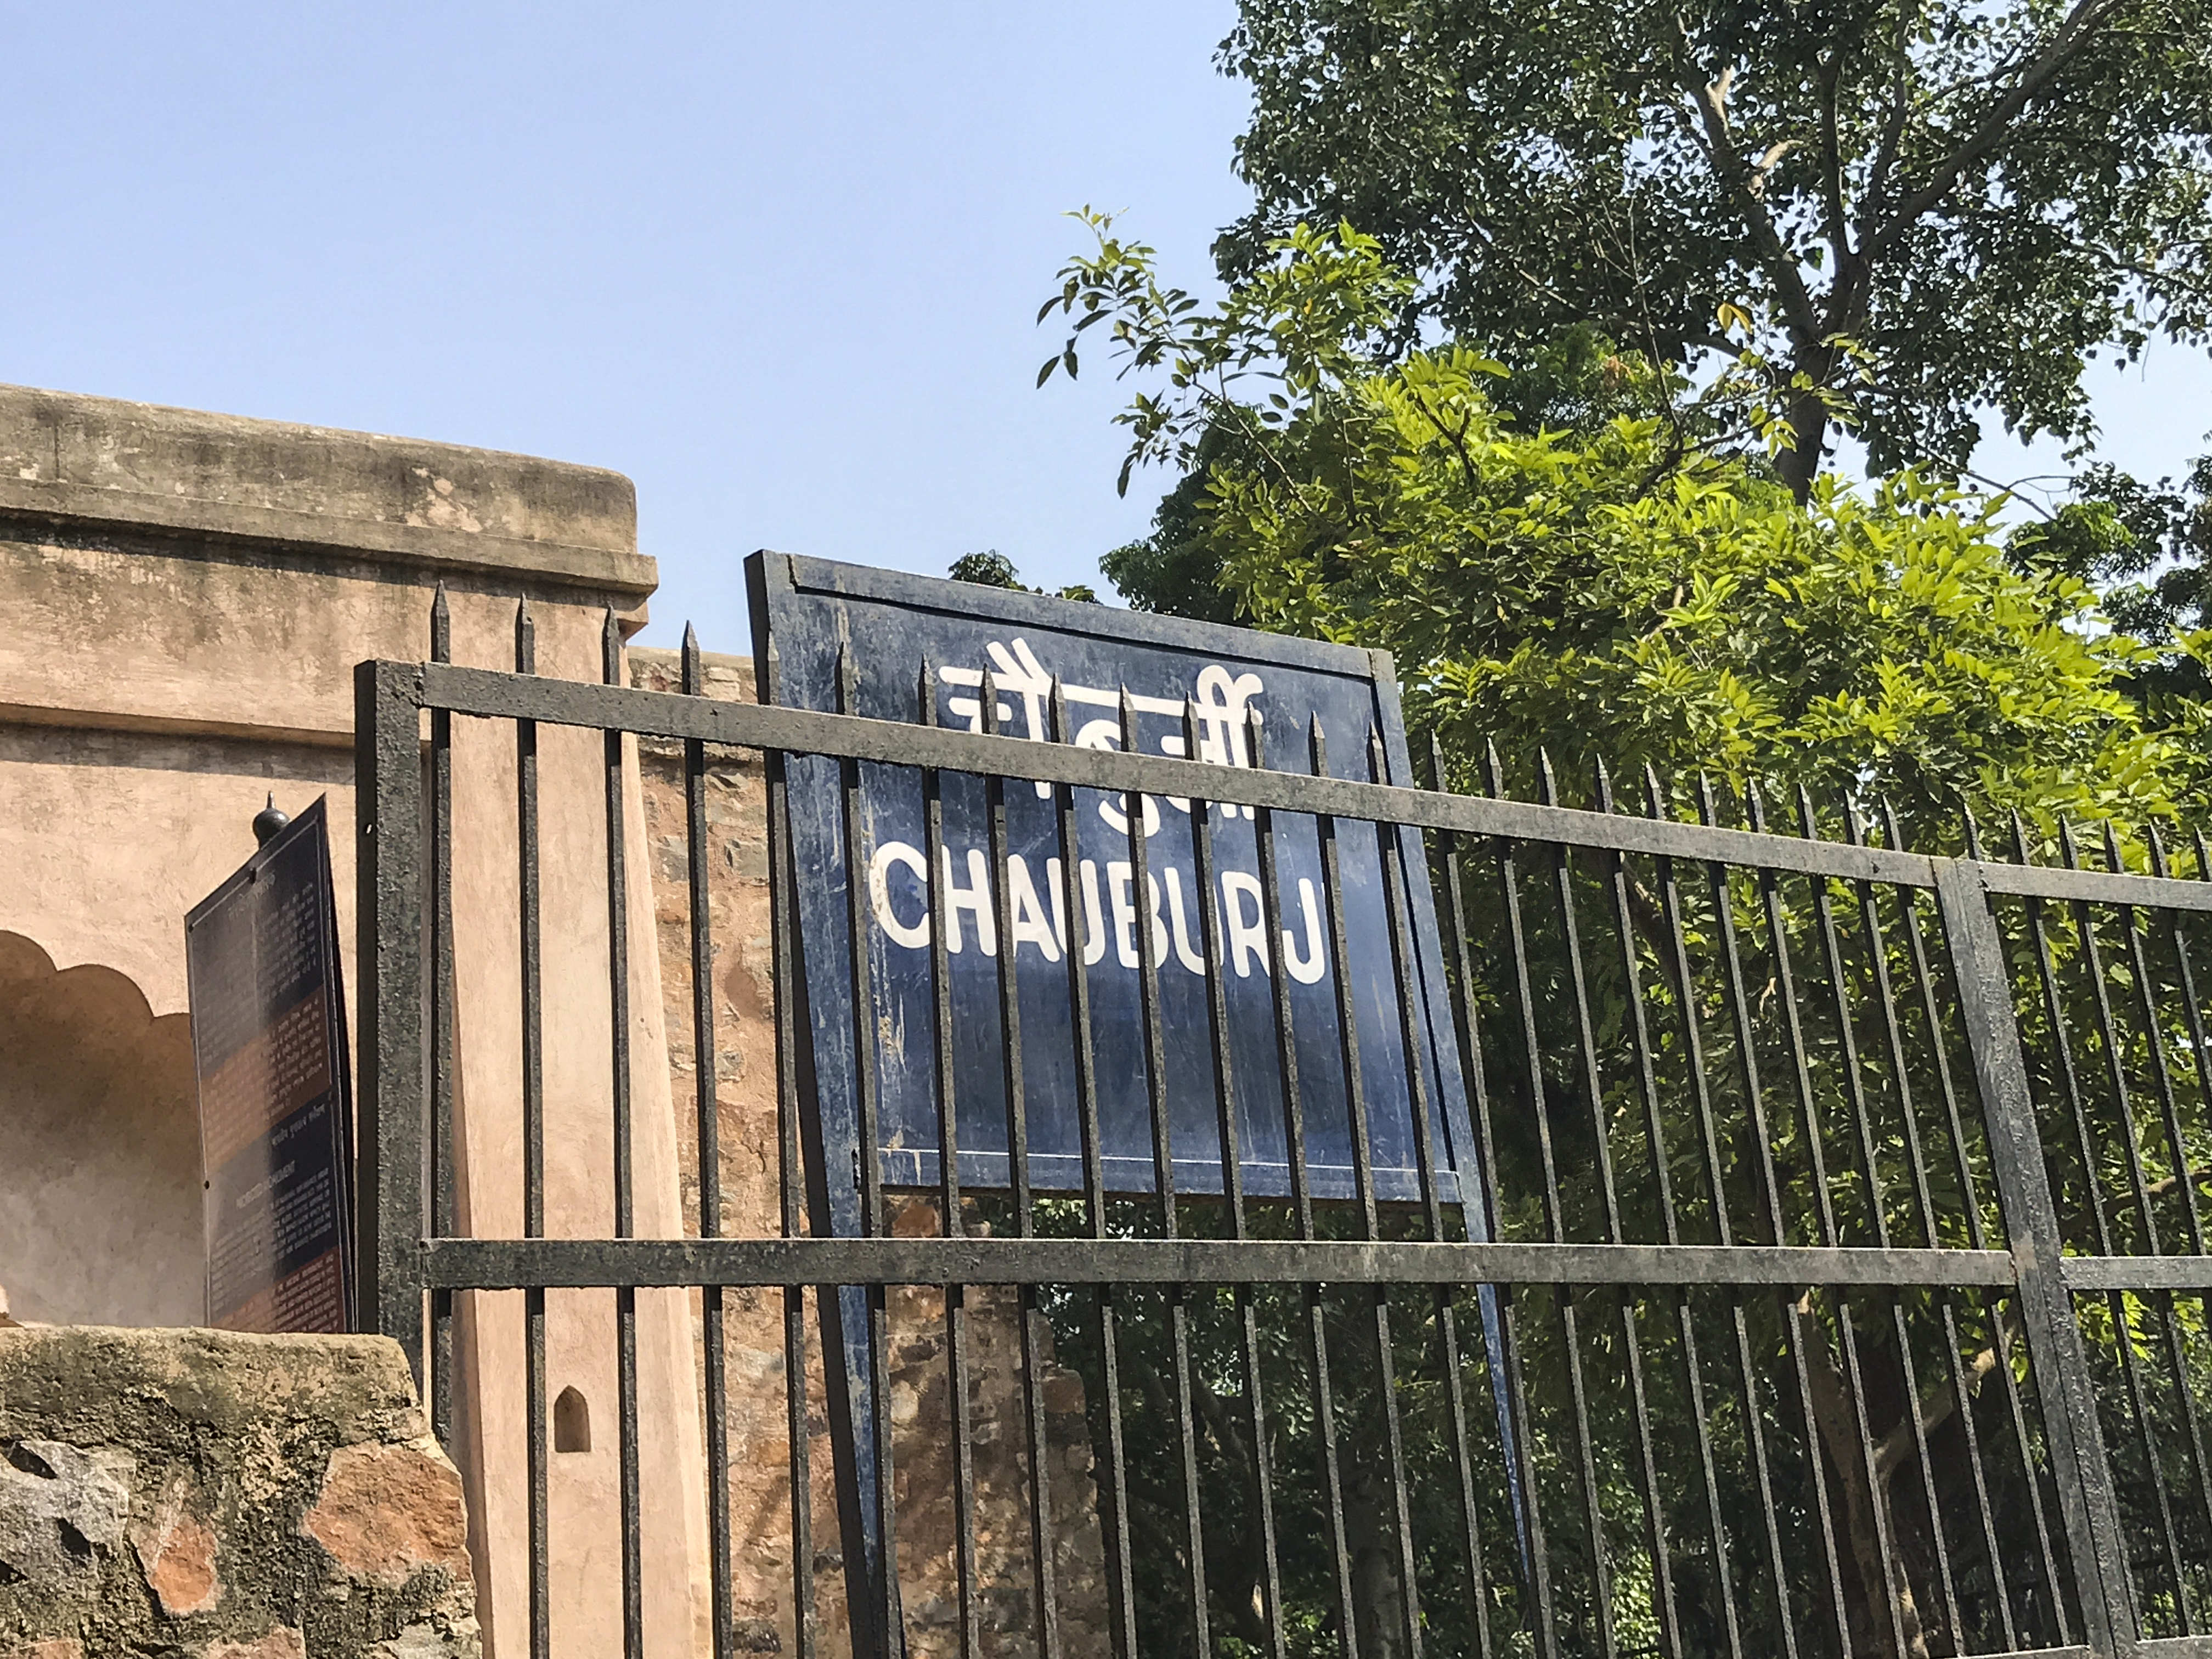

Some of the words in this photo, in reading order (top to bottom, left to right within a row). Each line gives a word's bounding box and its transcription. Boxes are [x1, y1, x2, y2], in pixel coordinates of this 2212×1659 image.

[940, 636, 1266, 841] चौबुर्जी
[865, 840, 1327, 988] CHAUBURJ